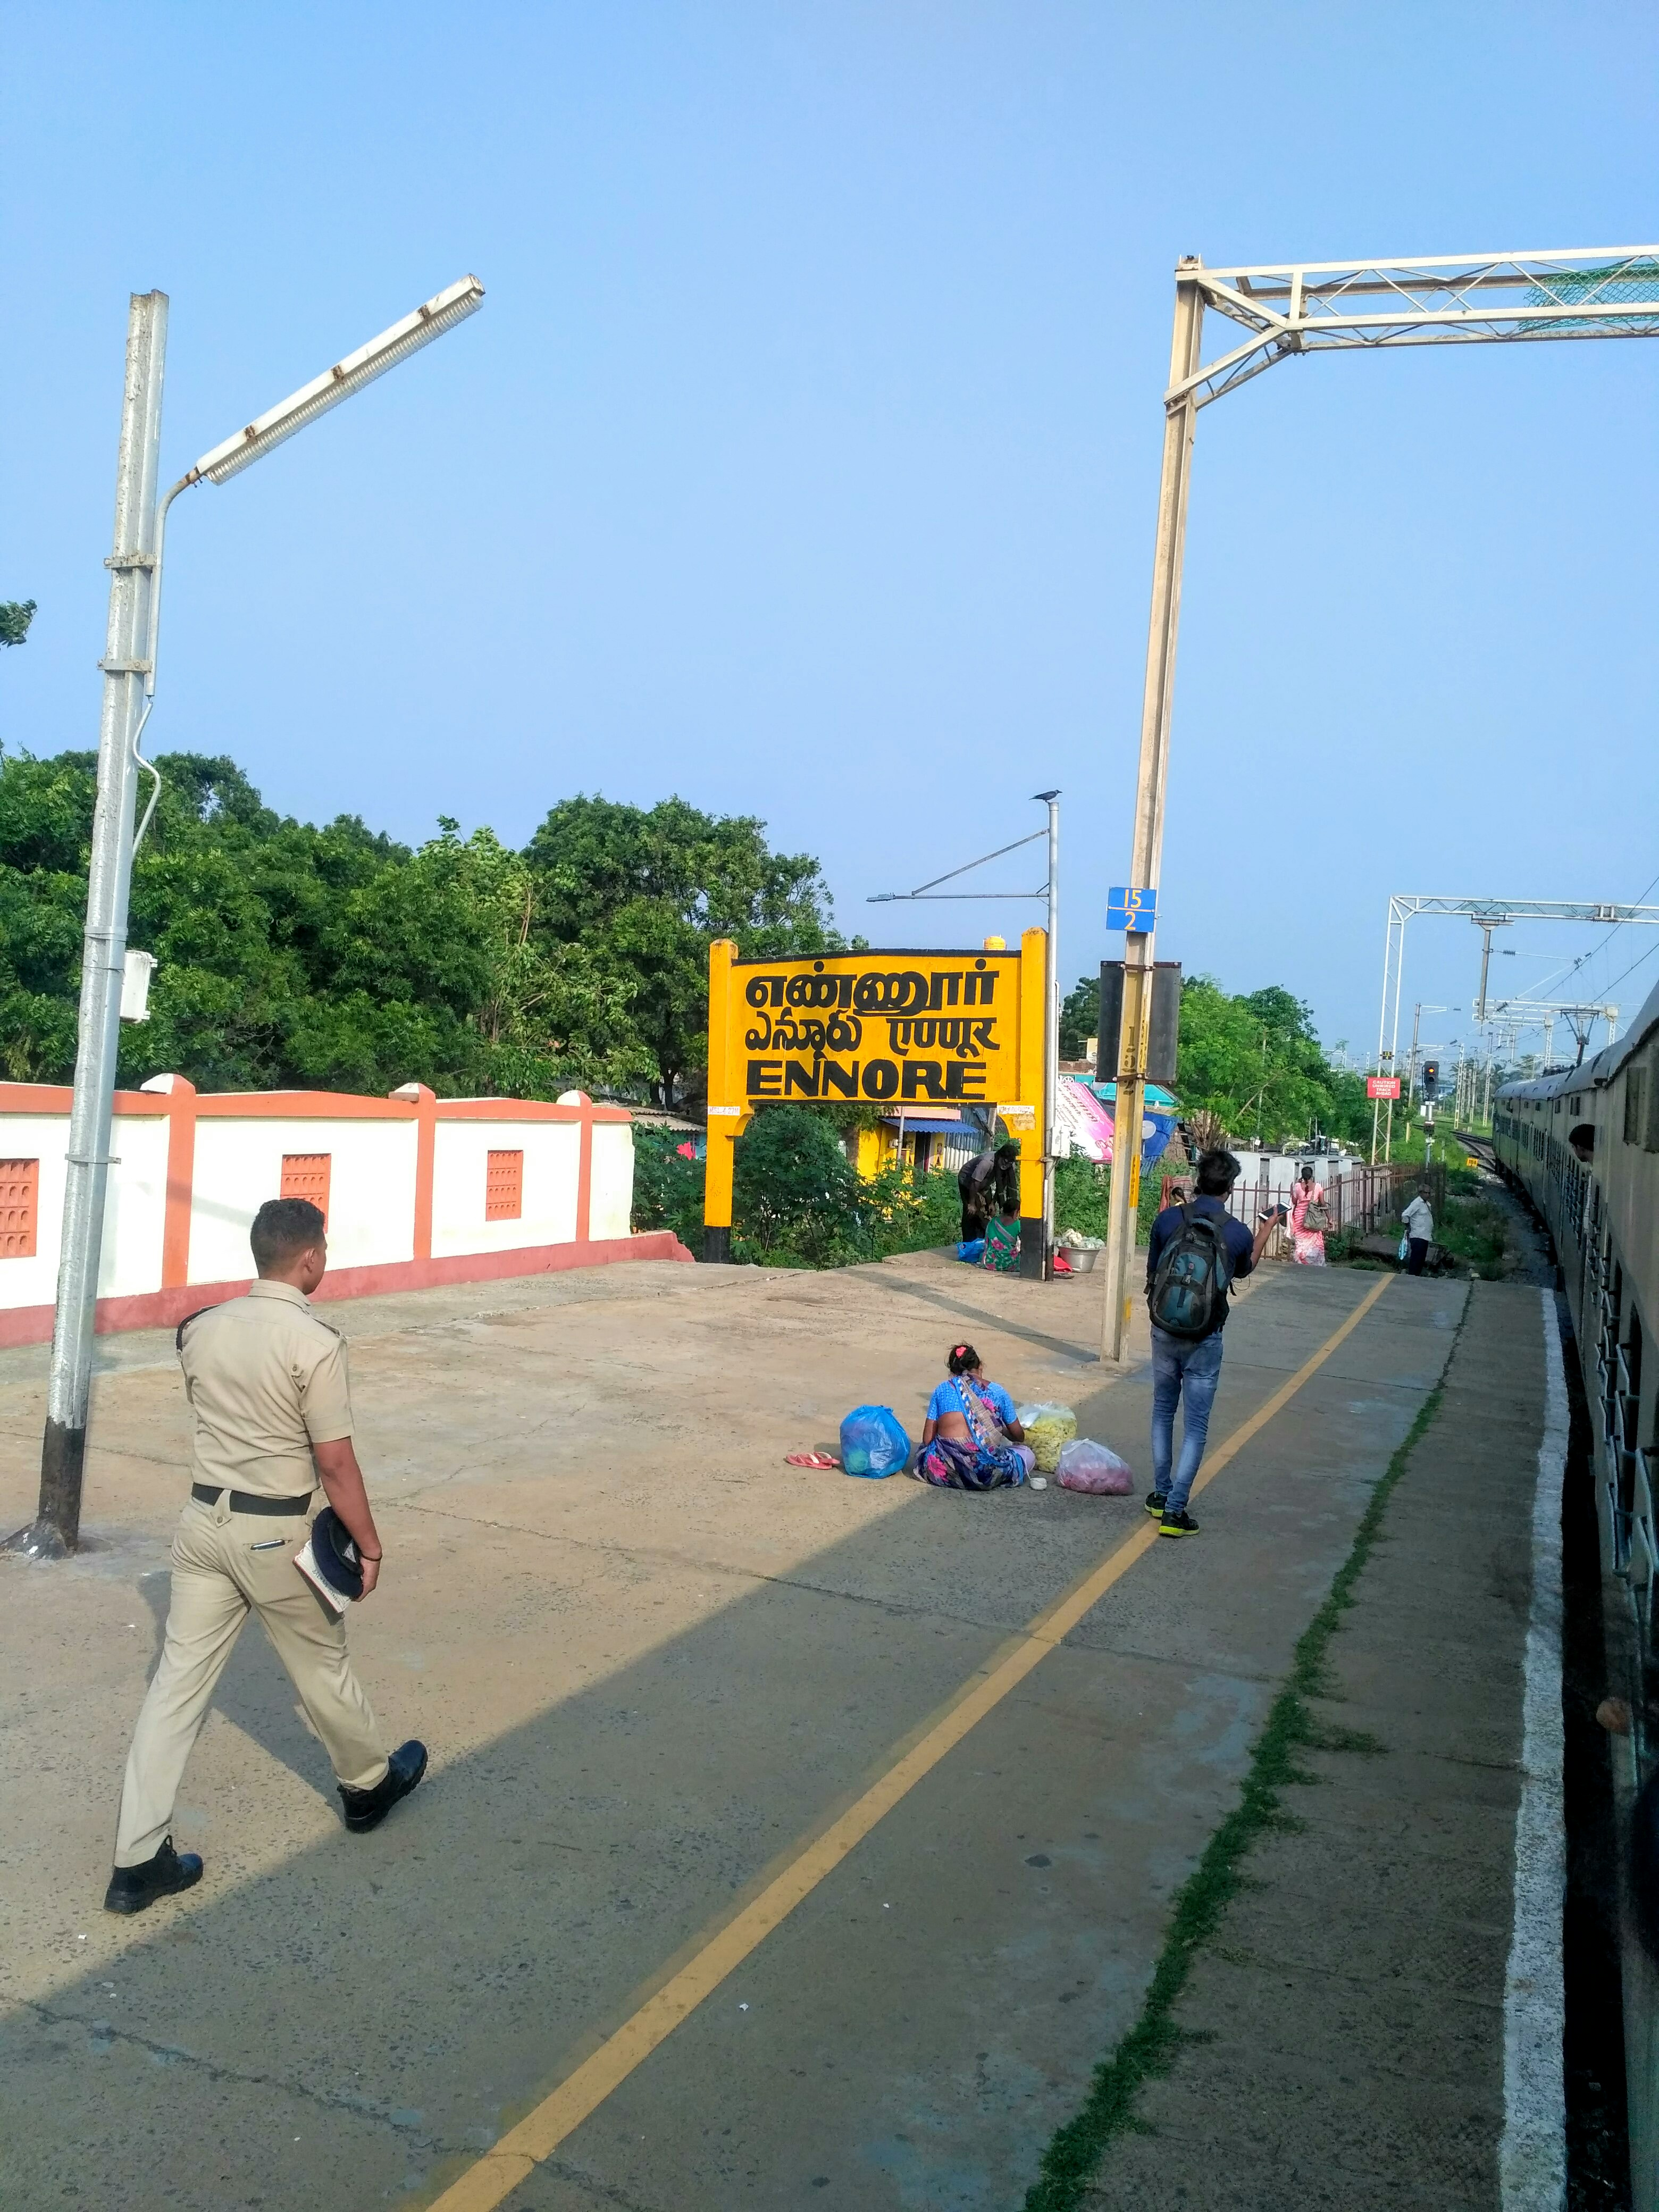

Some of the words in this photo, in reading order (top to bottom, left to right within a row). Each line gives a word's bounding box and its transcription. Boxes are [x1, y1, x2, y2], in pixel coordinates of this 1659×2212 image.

[740, 954, 1001, 1020] எண்ணூா்
[740, 1004, 865, 1054] ఎన్నూరు
[886, 1015, 1004, 1061] एण्णूर
[745, 1057, 988, 1103] ENNORE